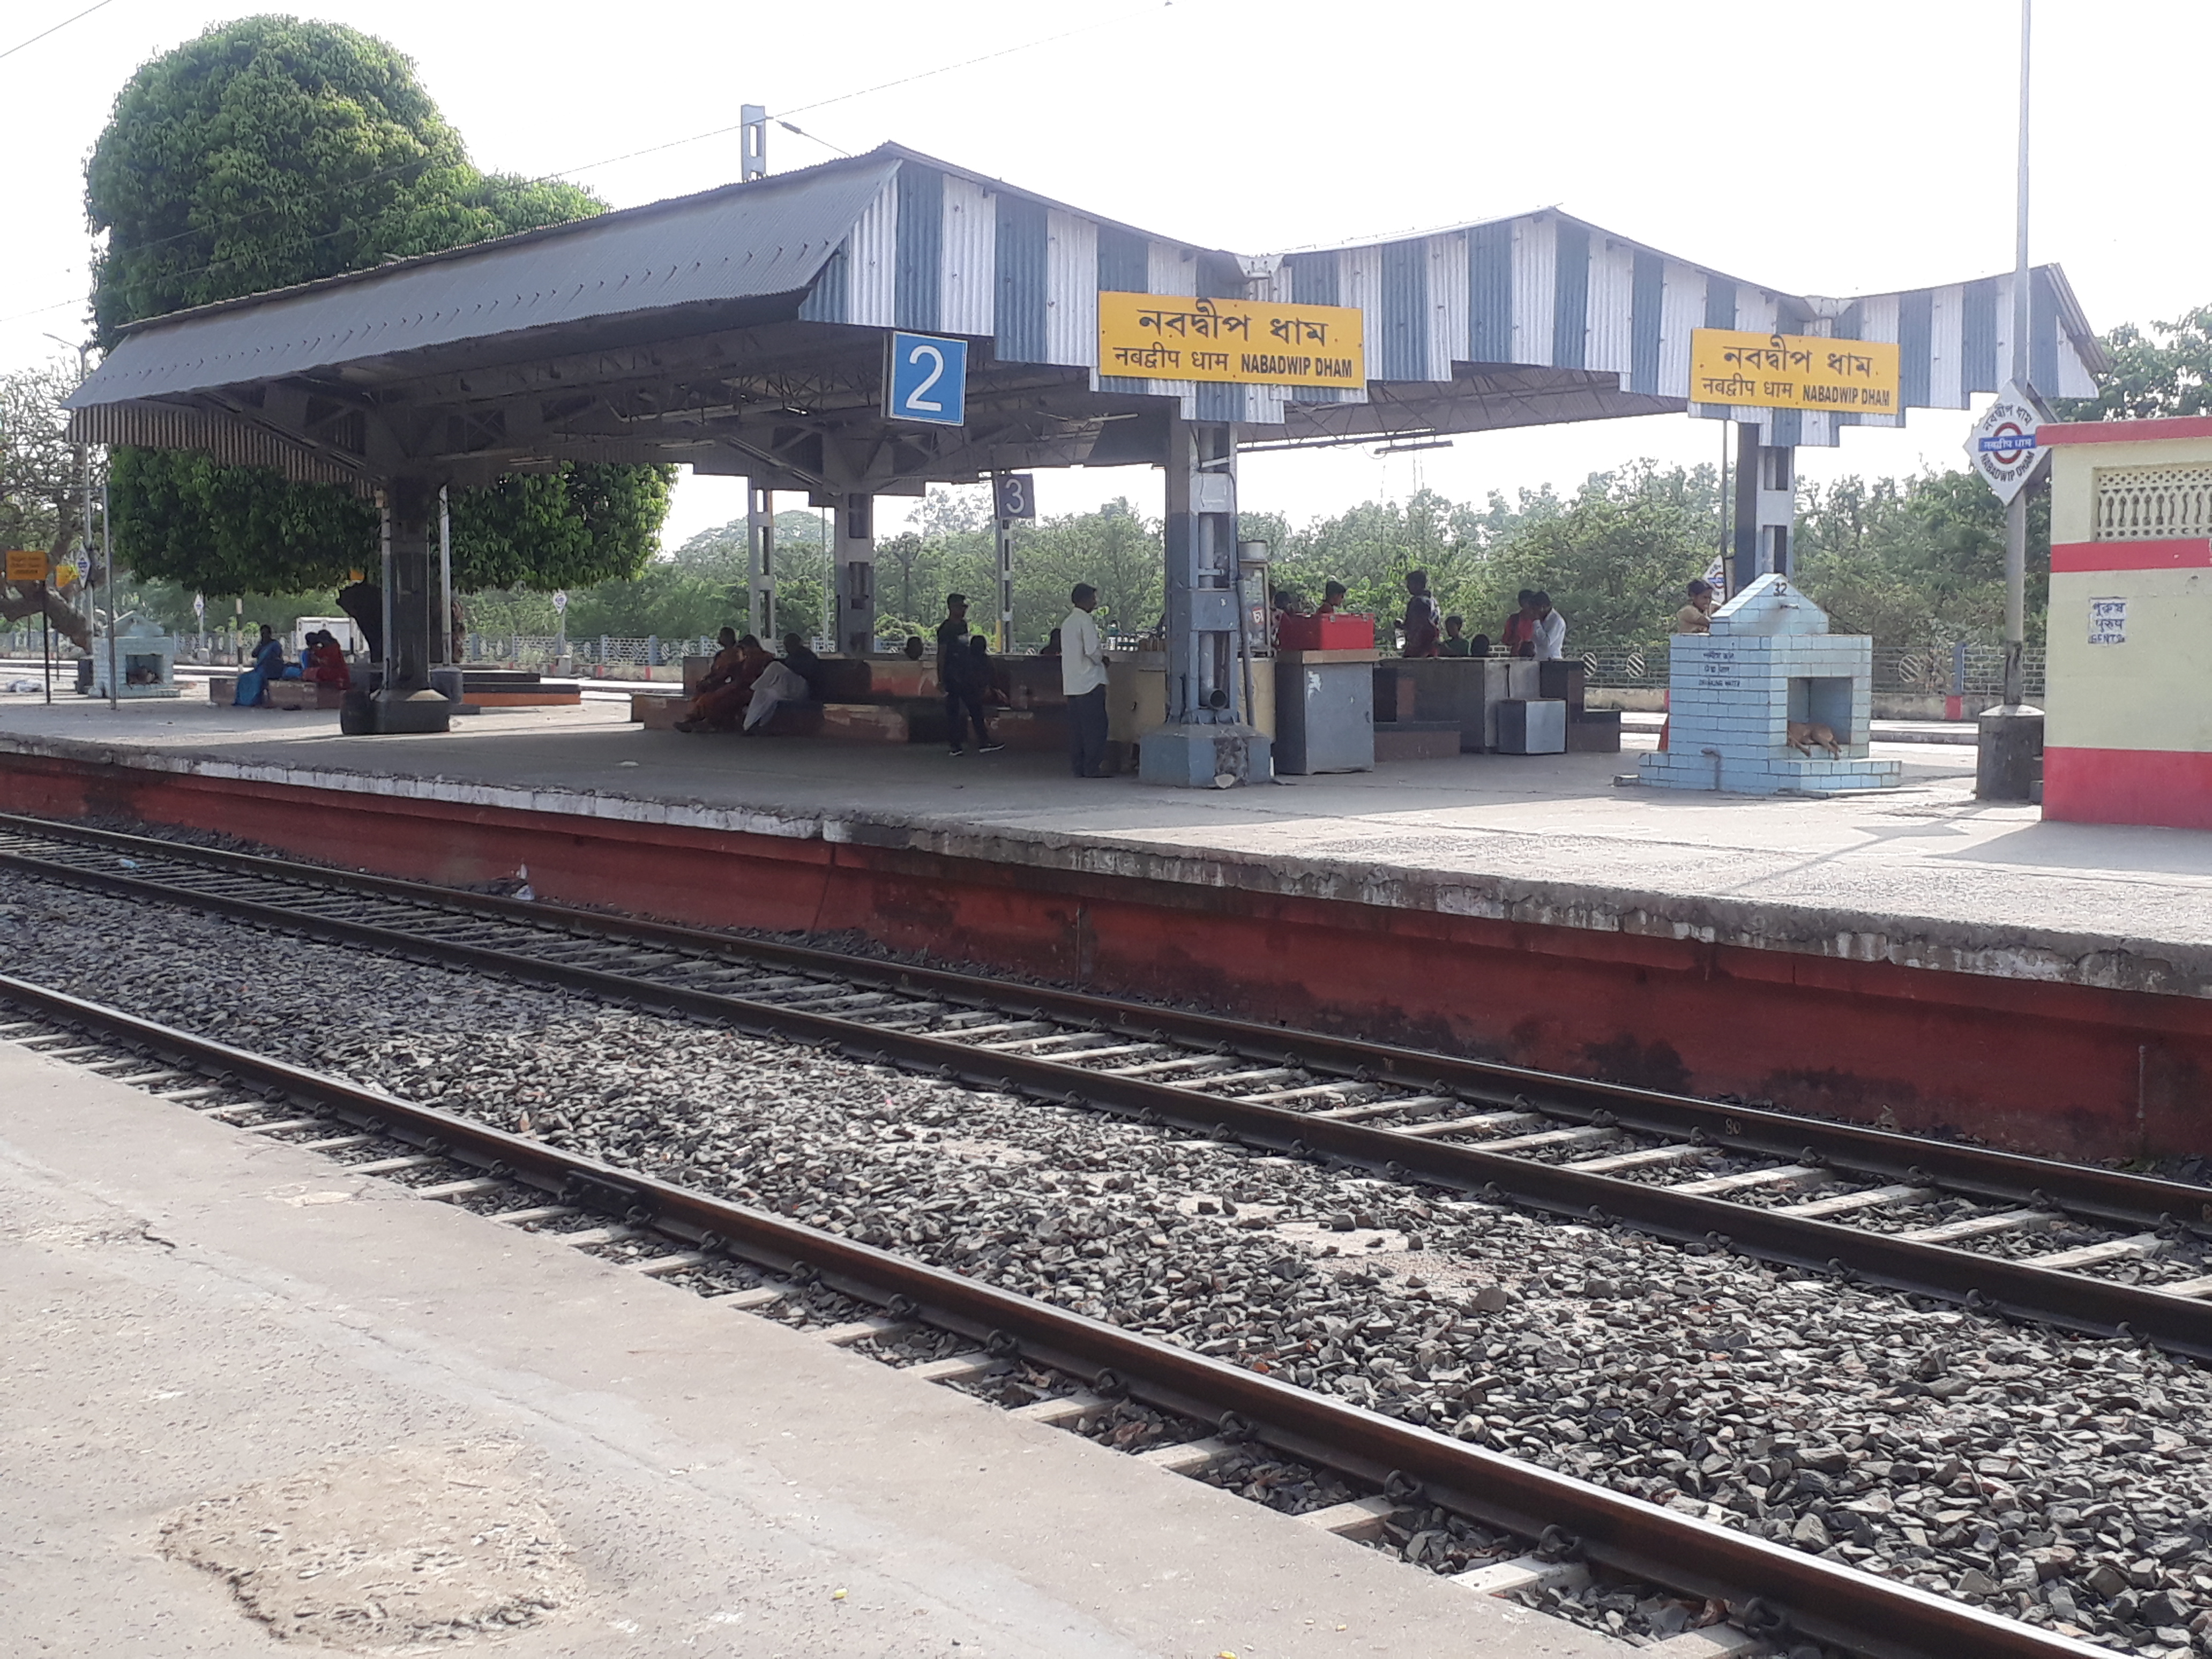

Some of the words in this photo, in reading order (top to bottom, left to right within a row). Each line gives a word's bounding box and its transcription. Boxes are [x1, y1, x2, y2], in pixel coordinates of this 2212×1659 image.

[1133, 294, 1255, 345] নবদ্বীপ
[1265, 313, 1333, 349] ধাম
[885, 338, 968, 424] 2
[1108, 336, 1186, 376] नबद्वीप
[1186, 345, 1231, 376] धाम
[1239, 352, 1316, 377] NABADWIP
[1311, 355, 1356, 381] DHAM
[1695, 366, 1757, 398] नबद्वीप
[1721, 328, 1815, 379] নবদ্বীপ
[1758, 375, 1797, 401] धाम
[1797, 379, 1862, 404] NABADWIP
[1824, 346, 1878, 383] ধাম
[1855, 383, 1893, 409] DHAM
[1977, 400, 2017, 441] নরদ্বীপ
[2012, 402, 2039, 430] ধাম
[1982, 435, 2015, 452] नबद्वीप
[2011, 436, 2036, 452] धाम
[1974, 450, 2016, 483] NABADWIP
[2011, 447, 2038, 478] DHAM
[2088, 594, 2128, 617] পুরুষ
[2089, 614, 2128, 636] पुरुष